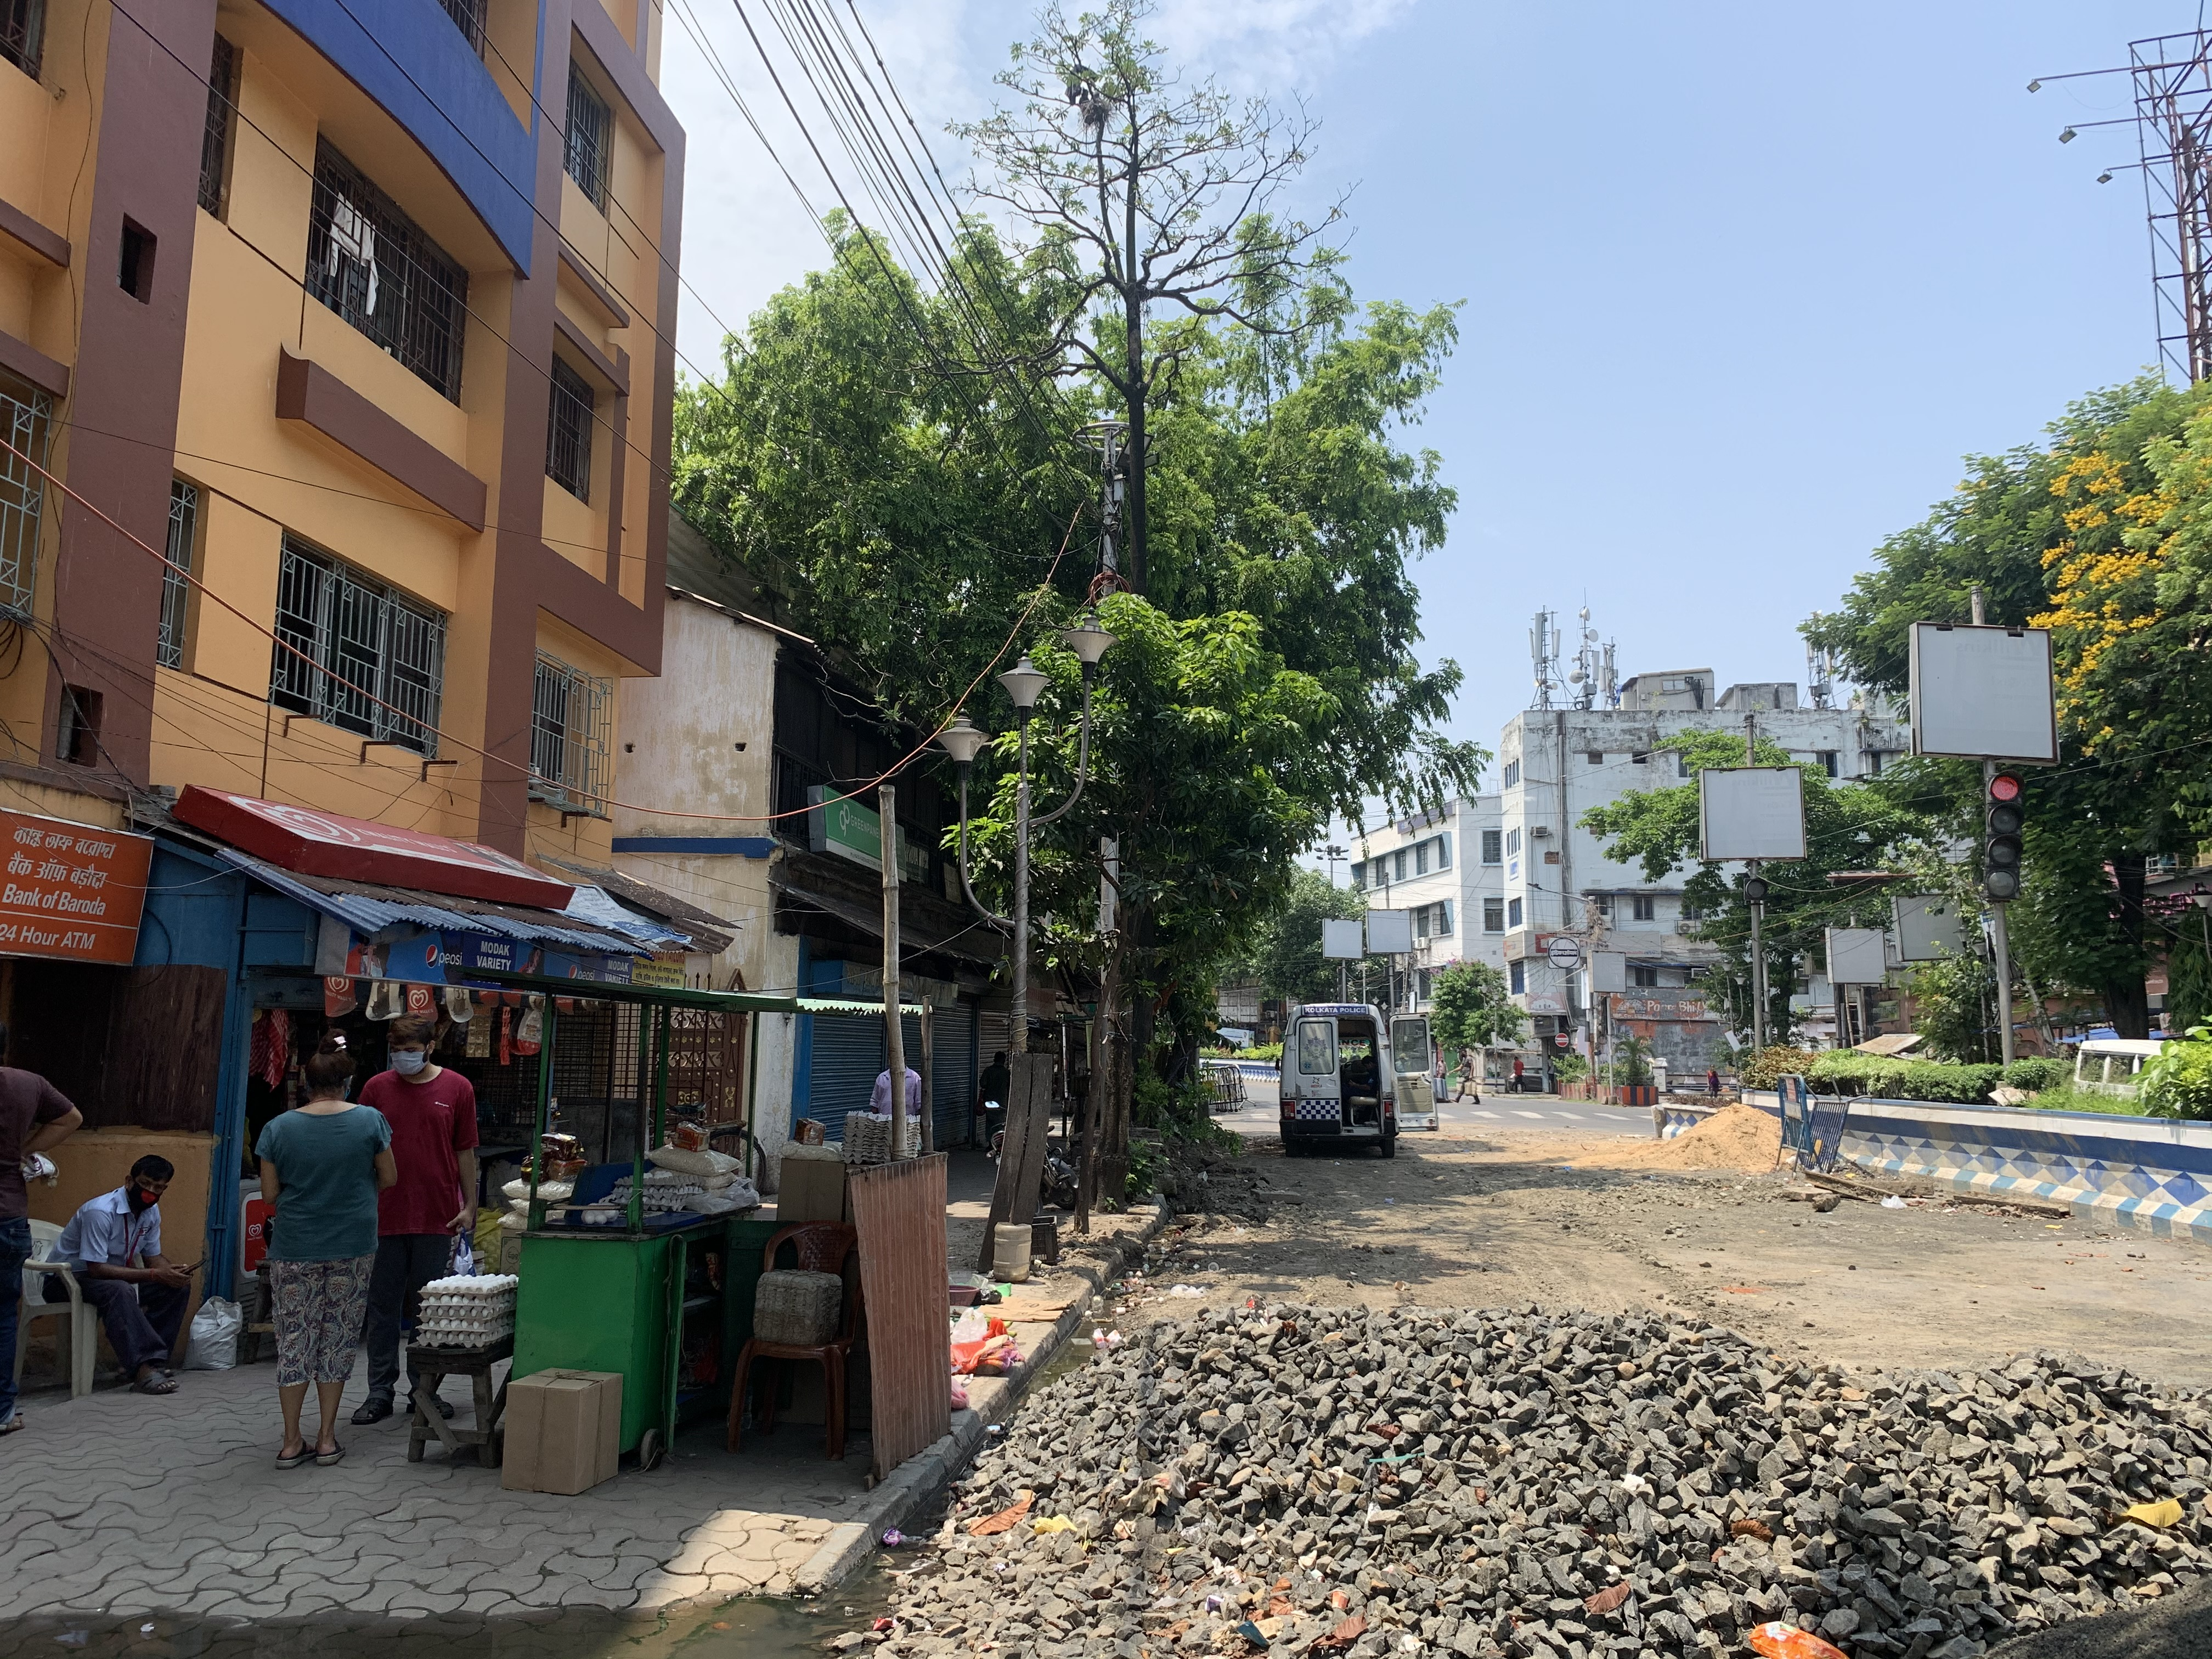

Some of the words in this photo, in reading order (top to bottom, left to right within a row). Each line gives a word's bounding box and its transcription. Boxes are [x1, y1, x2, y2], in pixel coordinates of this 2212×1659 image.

[7, 825, 46, 849] ব্যাঙ্ক
[42, 830, 75, 854] অফ
[73, 836, 119, 863] বরোদা
[5, 848, 35, 879] बैंक
[32, 855, 70, 887] ऑफ़
[66, 862, 110, 891] बड़ौदा
[0, 881, 43, 908] Bank
[41, 888, 61, 912] of
[55, 888, 108, 917] Baroda
[1, 922, 19, 944] 24
[18, 924, 61, 947] Hour
[60, 929, 97, 951] ATM
[437, 950, 466, 968] pepsi
[475, 955, 514, 972] VARIETY
[479, 940, 511, 956] MODAK
[606, 958, 630, 972] MODAK
[603, 972, 631, 985] VARIETY